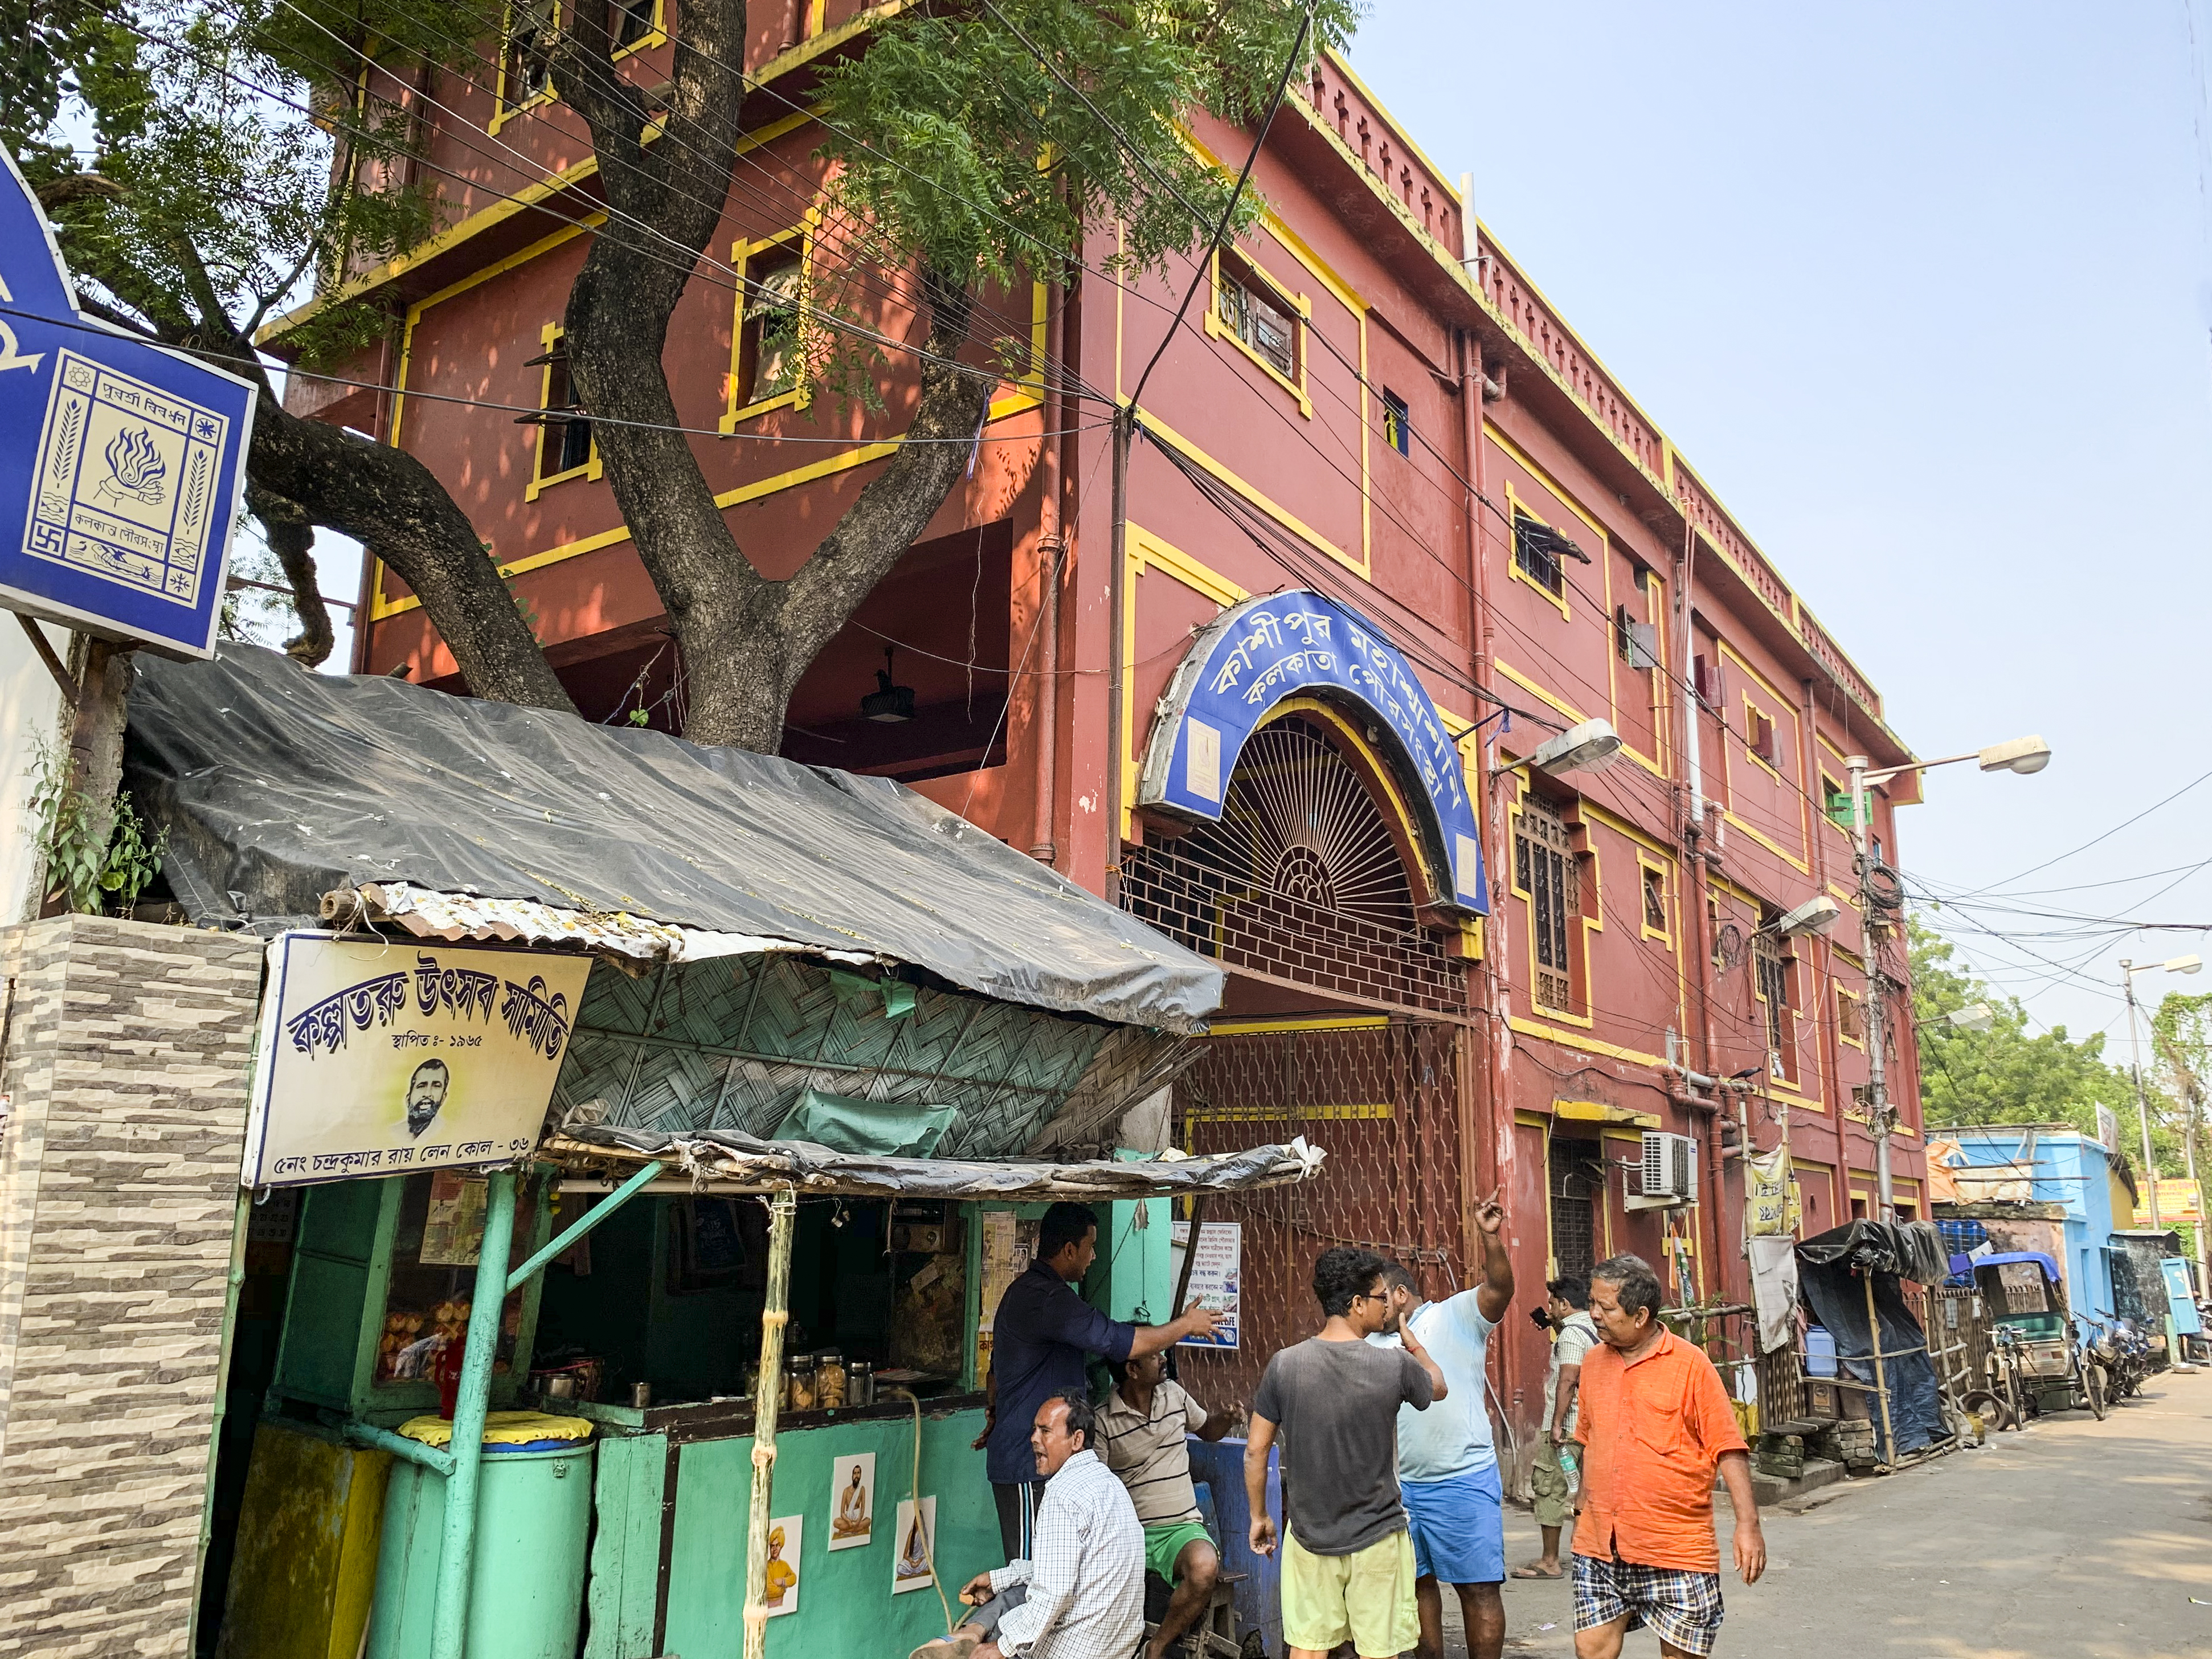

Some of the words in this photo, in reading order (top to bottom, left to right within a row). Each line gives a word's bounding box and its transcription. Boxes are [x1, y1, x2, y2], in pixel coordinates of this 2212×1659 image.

[96, 378, 143, 409] পুরশ্রী
[141, 393, 190, 431] বিবর্ধন
[72, 511, 121, 540] কলকাত
[116, 523, 167, 556] পৌরসংস্থা
[1204, 602, 1336, 698] কাশীপুর
[1240, 645, 1340, 709] কলকাতা
[1343, 657, 1446, 798] পৌরসংস্থা
[1346, 616, 1465, 812] মহাশ্মশান
[407, 939, 503, 1030] উৎসব
[283, 967, 412, 1067] কল্পতরু
[496, 972, 574, 1069] সমিতি
[386, 1023, 450, 1052] স্থাপিতঃ-
[442, 1029, 486, 1051] ১৯৬৫
[264, 1149, 317, 1180] ৫নং
[302, 1147, 385, 1178] চন্দ্রকুমার
[382, 1139, 422, 1169] রায়
[416, 1138, 456, 1169] লেন
[445, 1136, 494, 1166] কোল
[504, 1133, 537, 1156] ৩৬